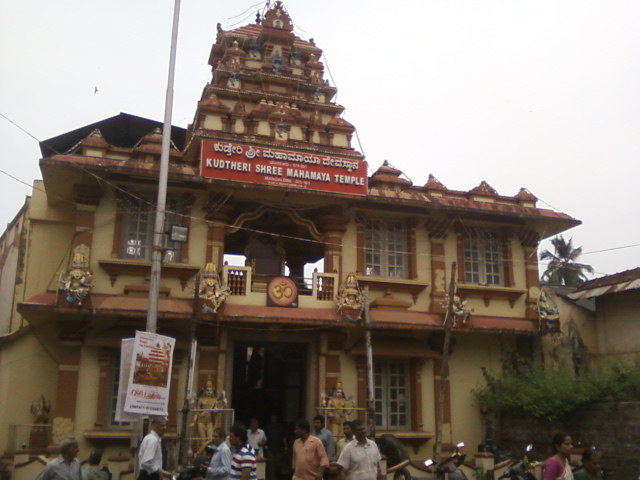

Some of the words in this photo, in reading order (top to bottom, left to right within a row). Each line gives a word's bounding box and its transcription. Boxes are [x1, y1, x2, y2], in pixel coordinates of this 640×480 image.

[209, 134, 247, 159] ಕುಡ್ತೇರಿ
[202, 153, 255, 176] KUDTHERI
[241, 141, 265, 163] ಶ್ರೀ
[251, 161, 288, 180] SHREE
[259, 146, 325, 167] ಮಹಾಮಾಯಾ
[283, 162, 335, 185] MAHAMAYA
[320, 151, 366, 177] ದೇವಸ್ಥಾನ
[329, 169, 370, 194] TEMPLE